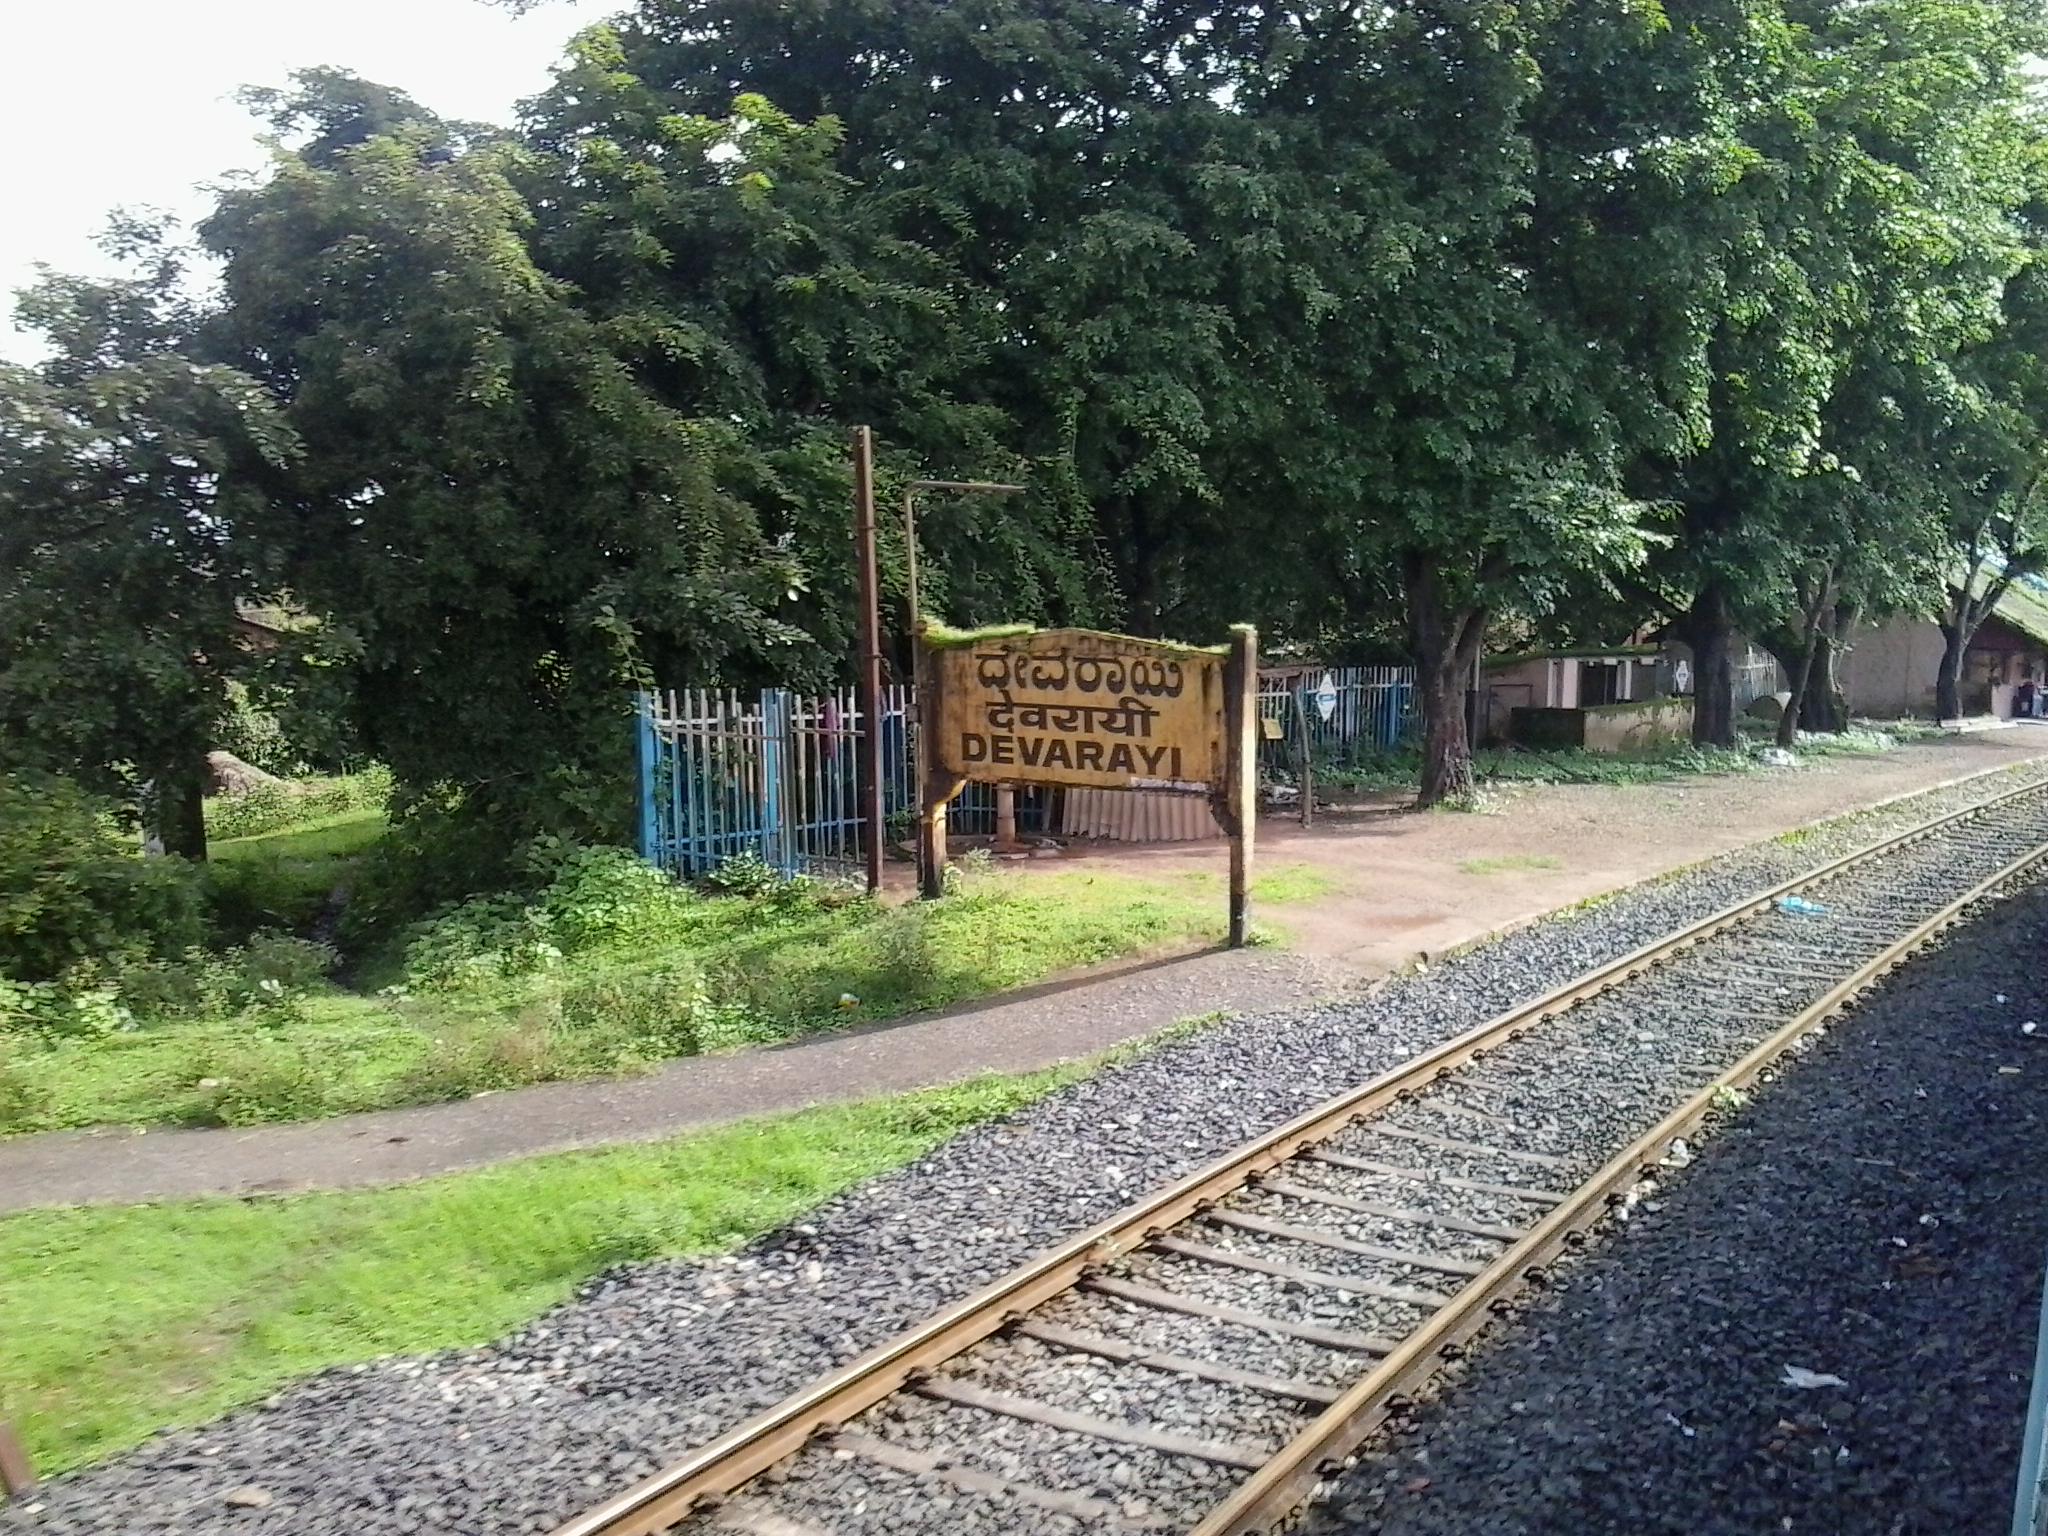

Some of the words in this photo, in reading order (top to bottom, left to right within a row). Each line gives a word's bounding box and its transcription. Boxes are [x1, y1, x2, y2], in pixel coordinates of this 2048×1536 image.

[972, 638, 1191, 703] ದೇವರಾಯ
[981, 685, 1163, 743] देवरायी
[957, 726, 1184, 783] DEVARAYI